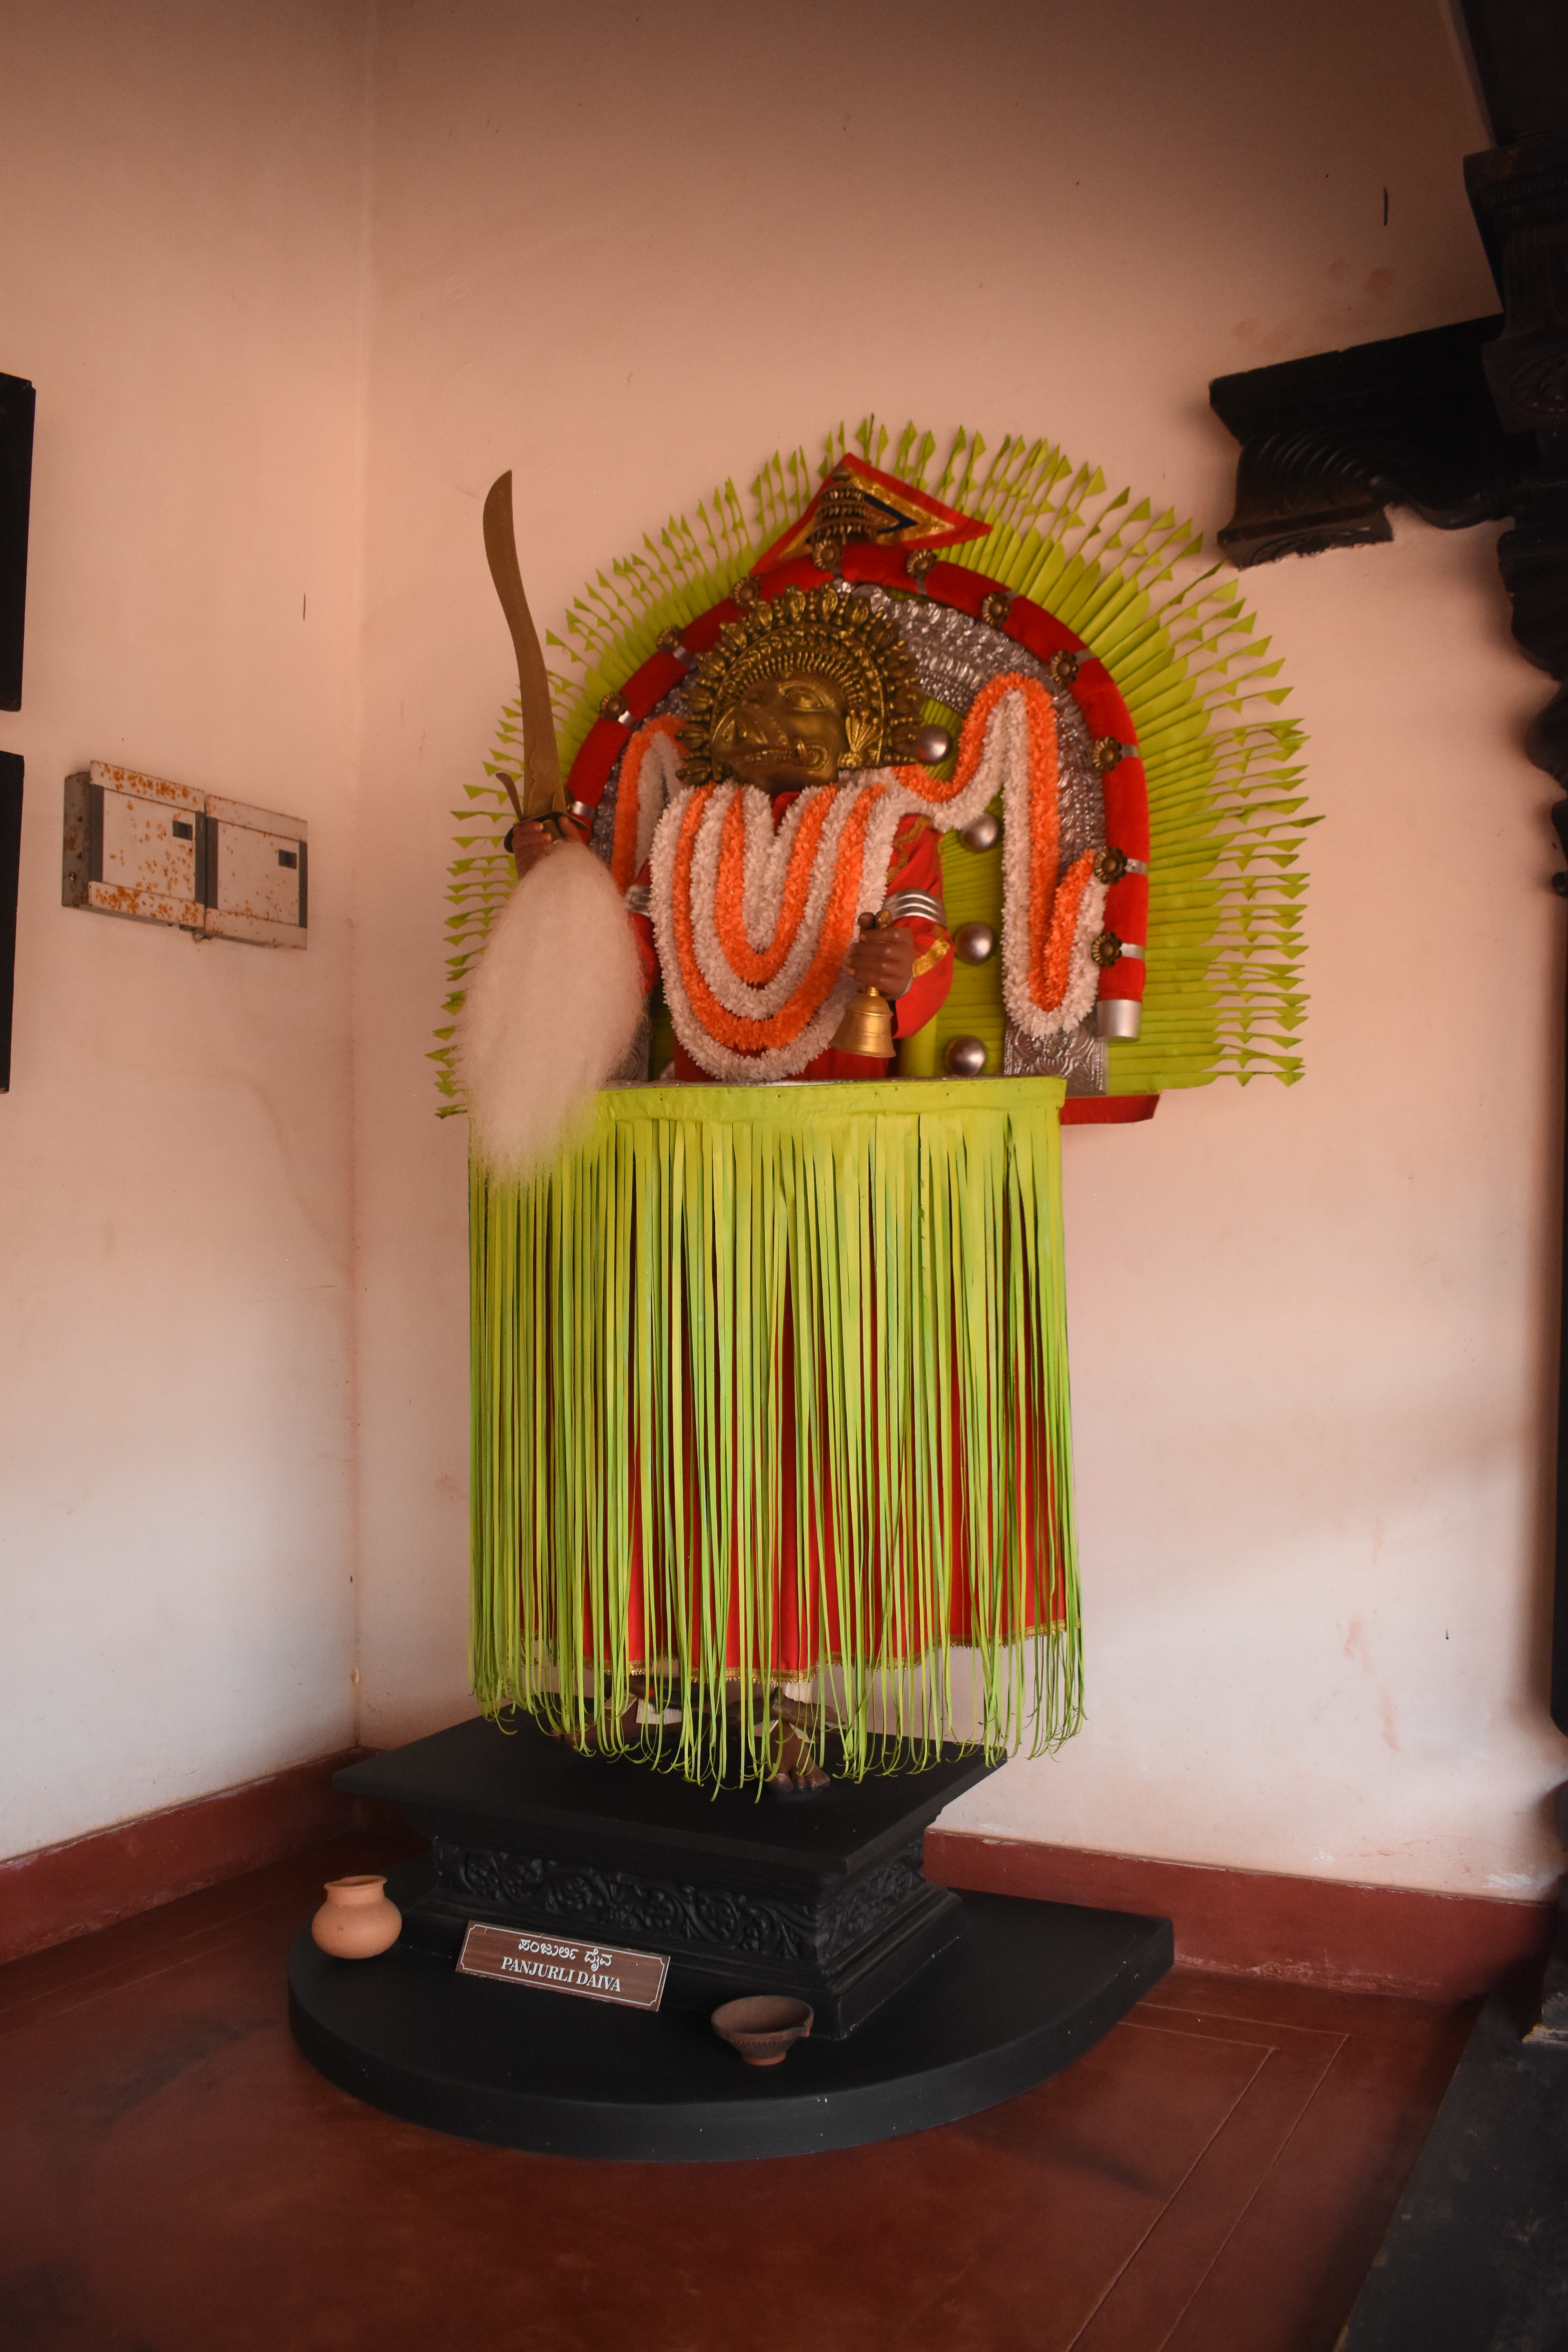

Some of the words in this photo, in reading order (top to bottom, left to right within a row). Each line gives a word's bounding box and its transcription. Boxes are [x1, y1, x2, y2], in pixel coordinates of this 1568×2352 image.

[501, 1953, 577, 1983] PANJURLI
[517, 1935, 582, 1963] ಪಂಜುಅ೯
[581, 1946, 613, 1974] ದೈವ
[573, 1969, 622, 1994] DAIVA